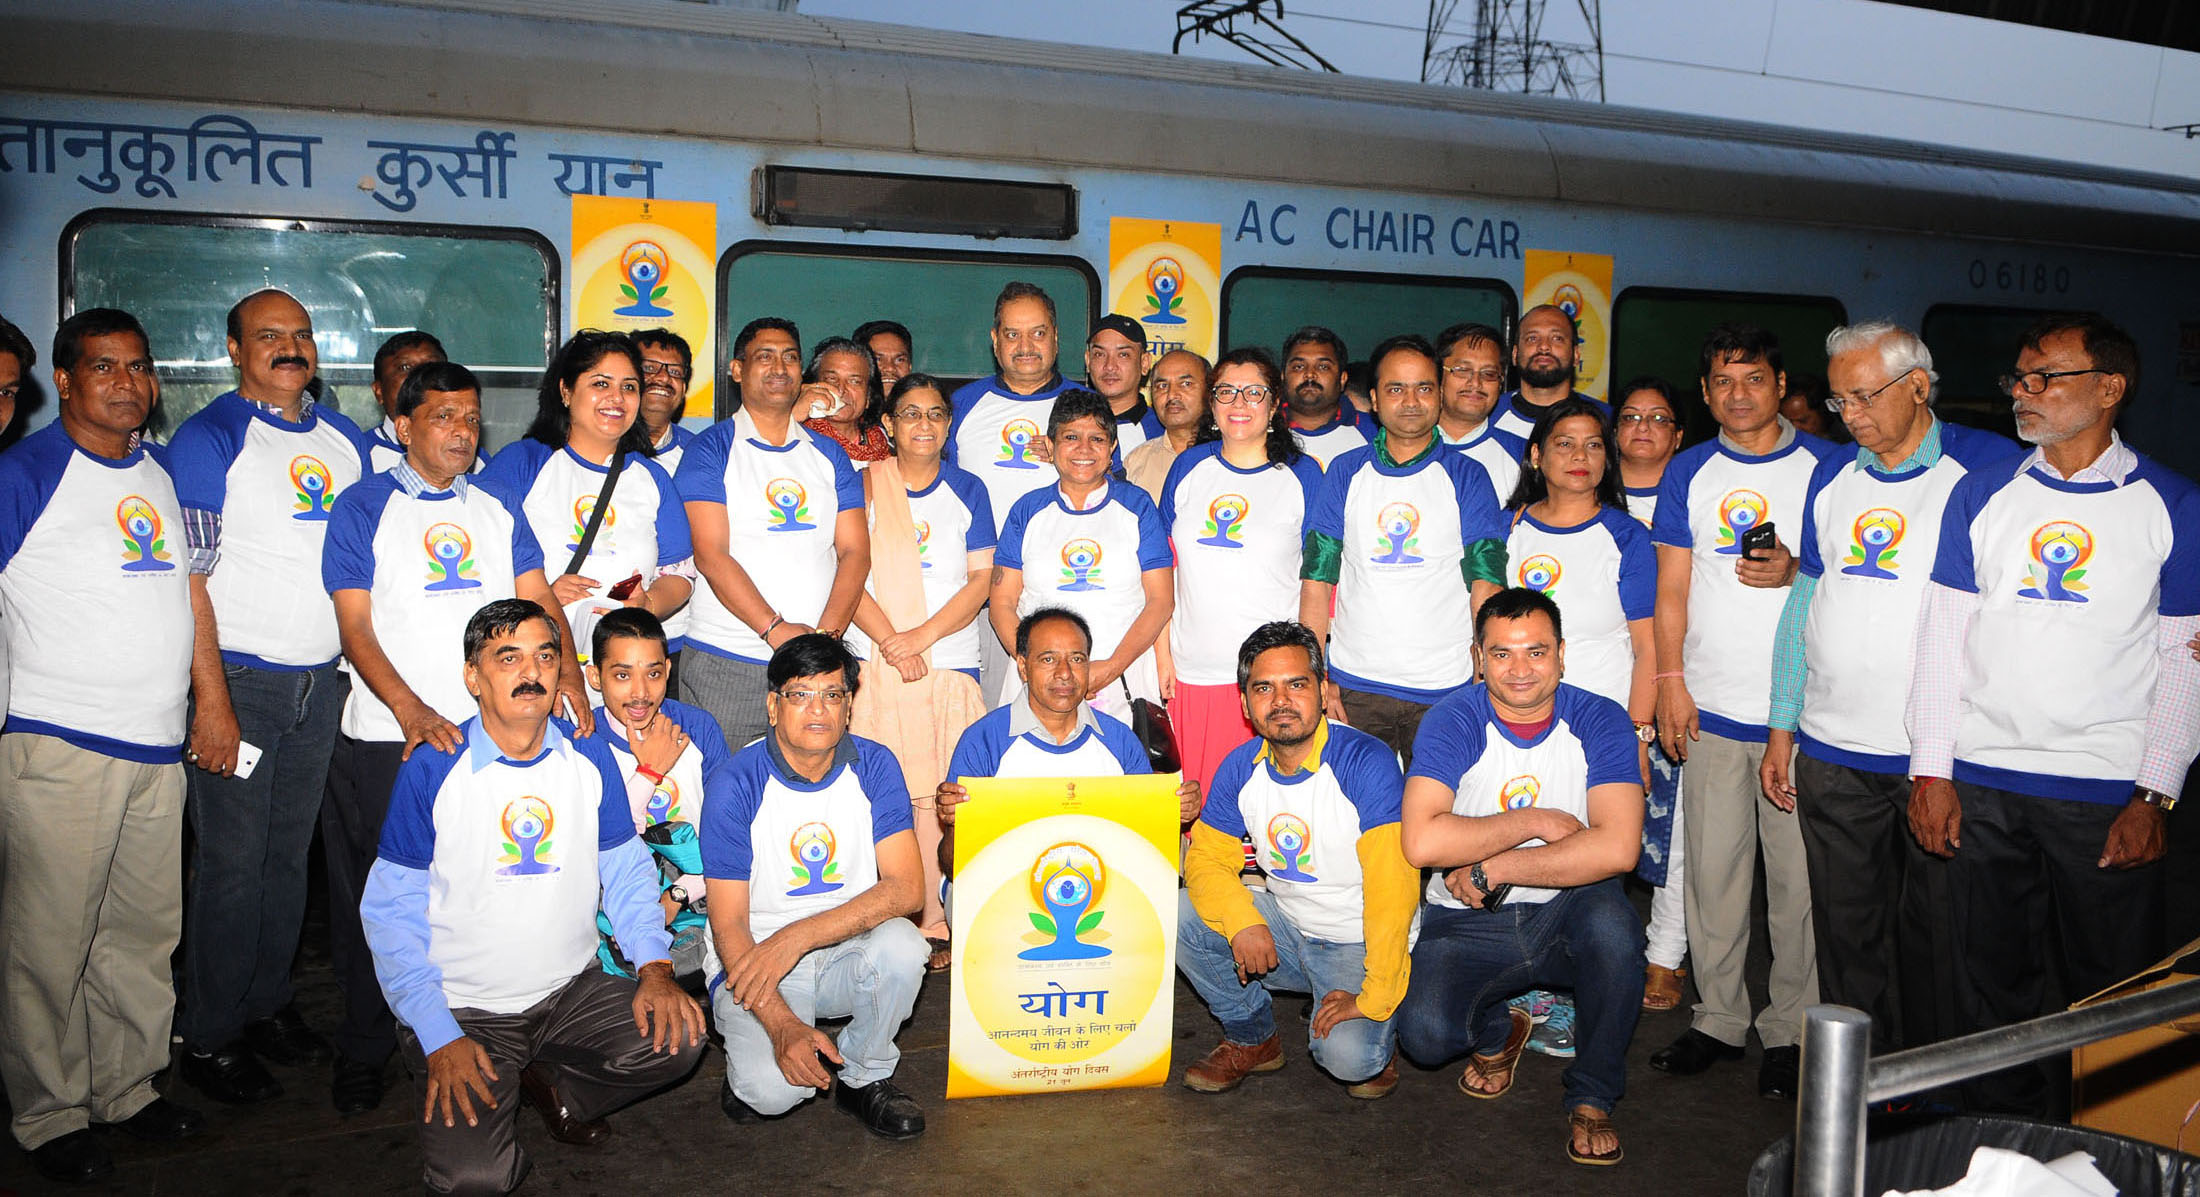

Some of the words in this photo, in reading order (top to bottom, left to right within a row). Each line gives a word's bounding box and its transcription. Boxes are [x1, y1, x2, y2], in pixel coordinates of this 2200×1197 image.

[2, 102, 322, 210] तानुकूलित
[360, 112, 520, 226] कुर्सी
[548, 144, 672, 212] यान
[1228, 196, 1305, 251] AC
[1320, 202, 1439, 256] CHAIR
[1446, 211, 1525, 267] CAR
[1955, 250, 2080, 301] 06180
[1018, 974, 1115, 1026] योग
[984, 1025, 1042, 1046] आनन्दमय
[1023, 1031, 1056, 1056] योग
[1037, 1018, 1075, 1040] जीवन
[1048, 1034, 1071, 1053] की
[1066, 1022, 1089, 1038] के
[1064, 1032, 1095, 1054] ओर
[1083, 1018, 1114, 1038] लिए
[1110, 1014, 1141, 1037] चलो
[1006, 1059, 1061, 1083] अंतर्राष्ट्रीय
[1055, 1059, 1083, 1078] यांग
[1079, 1059, 1112, 1079] दिवस